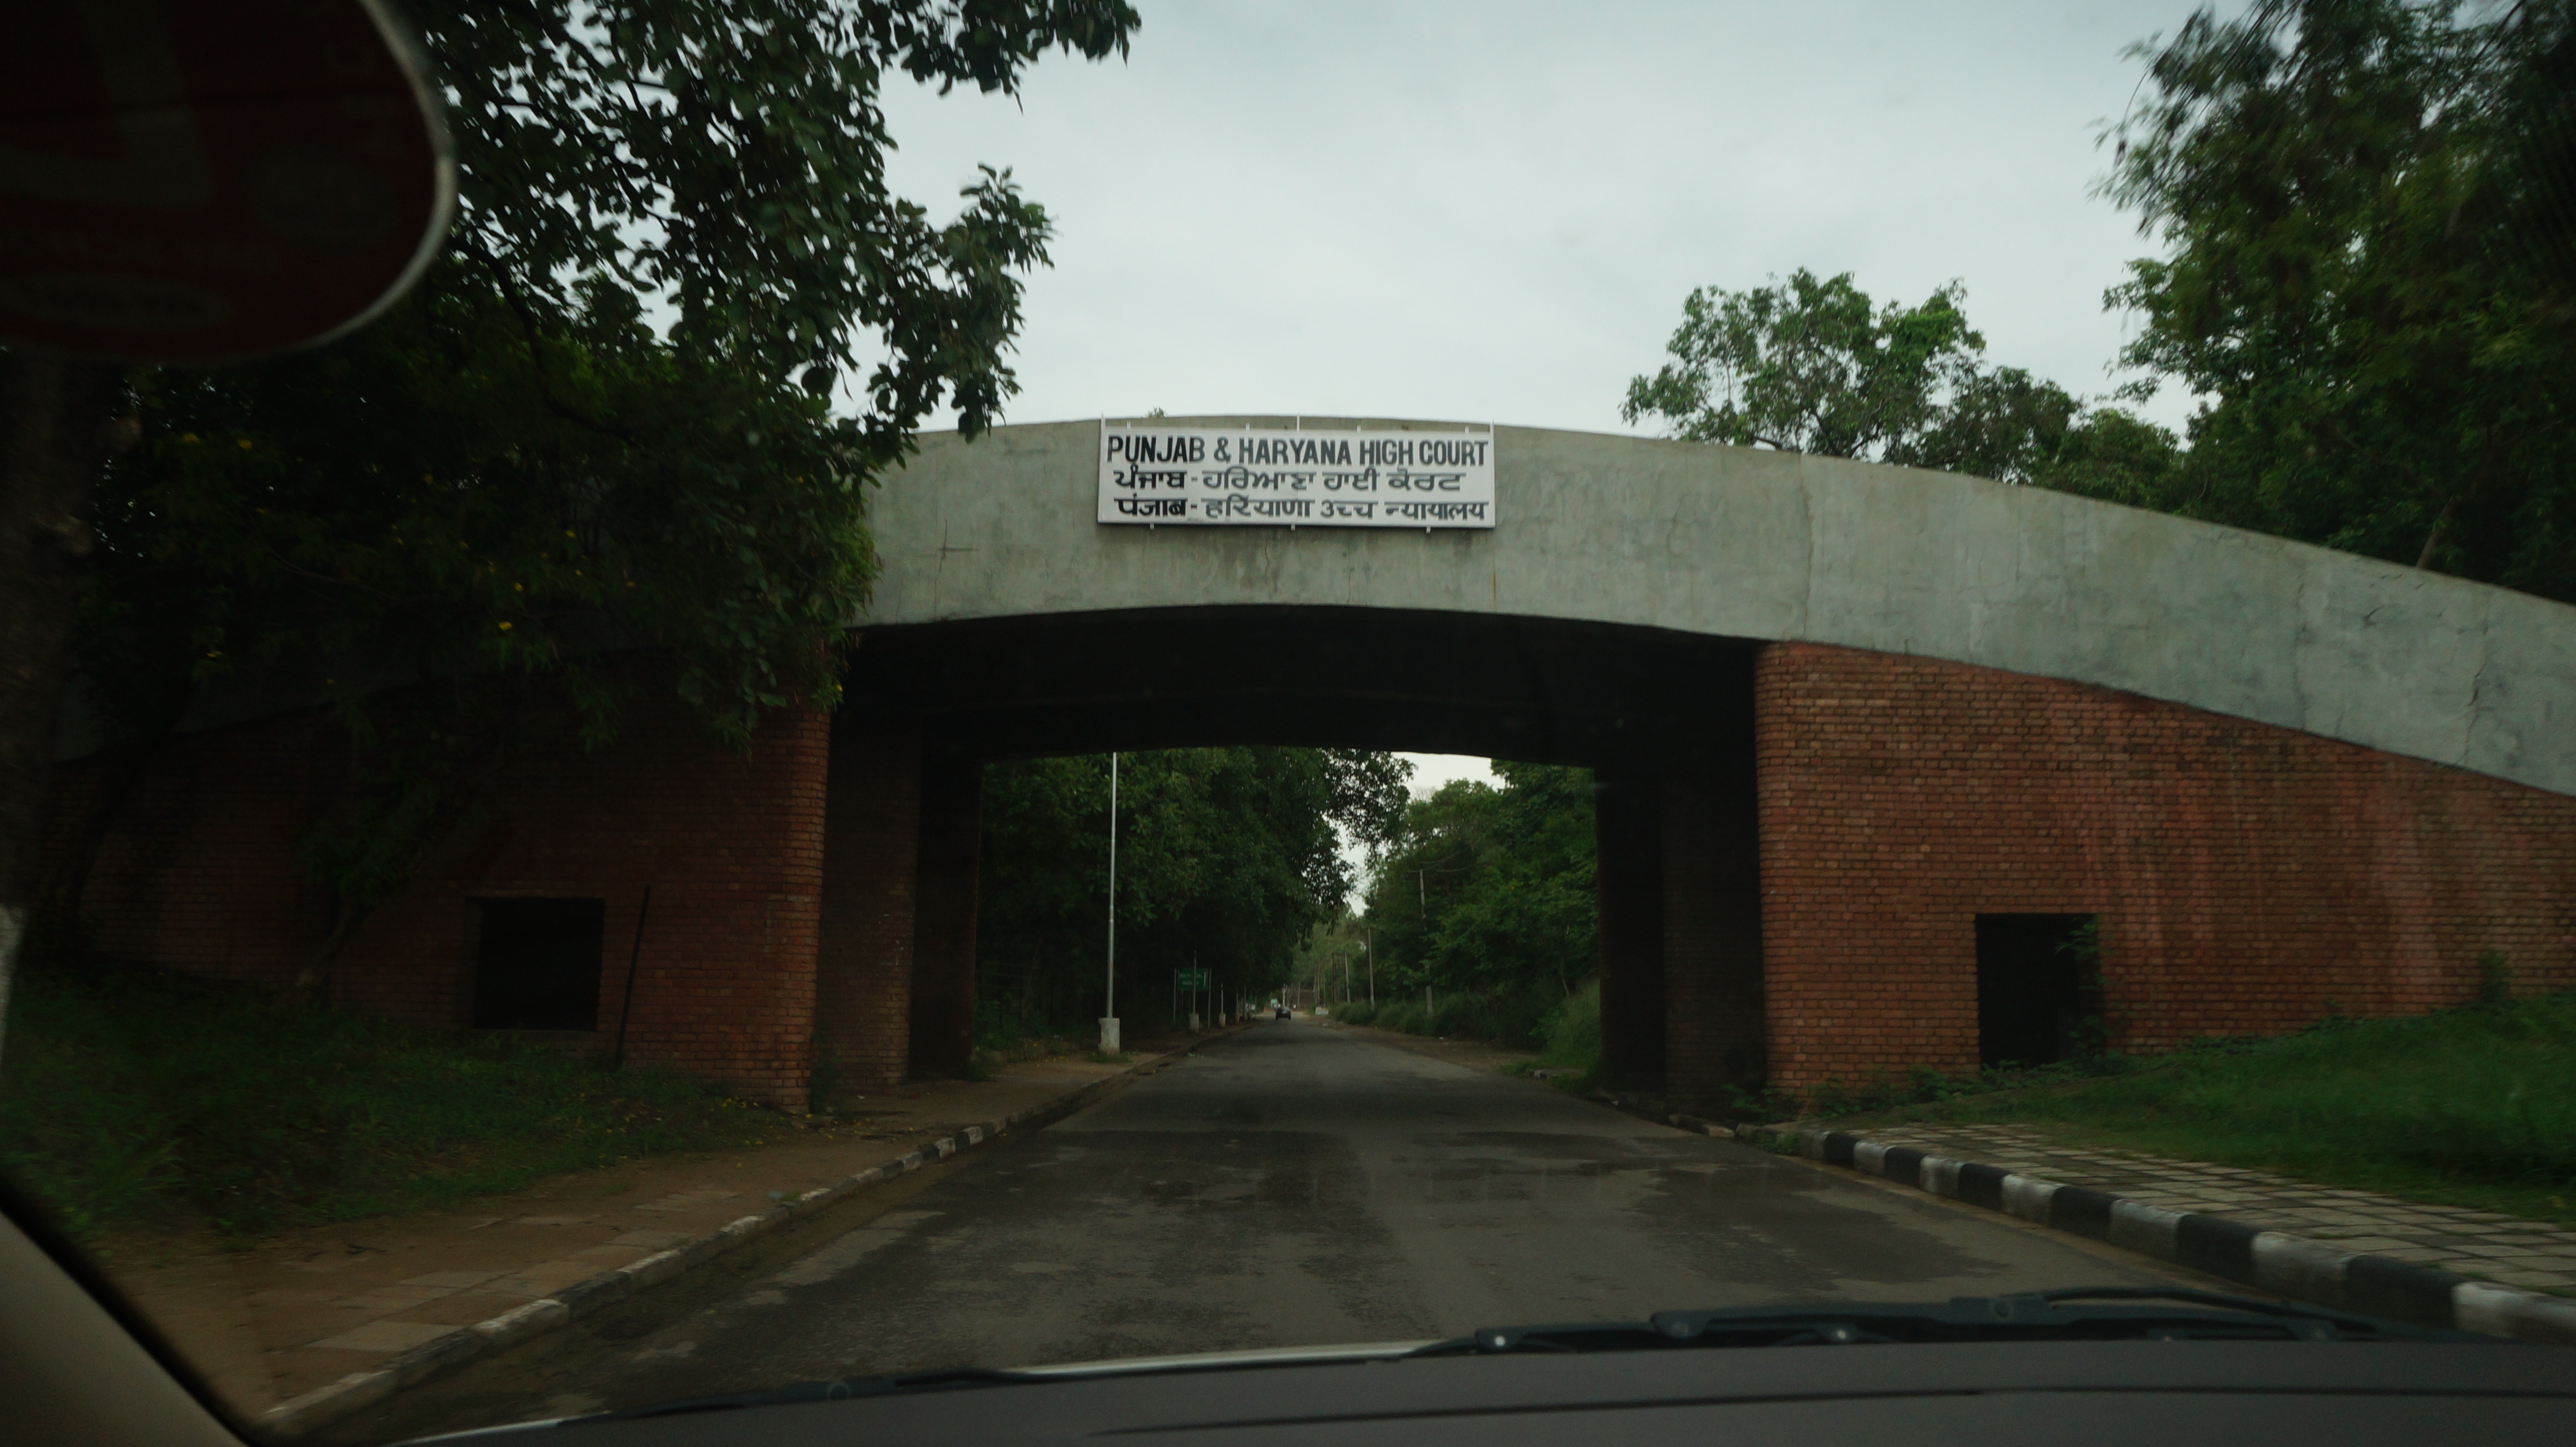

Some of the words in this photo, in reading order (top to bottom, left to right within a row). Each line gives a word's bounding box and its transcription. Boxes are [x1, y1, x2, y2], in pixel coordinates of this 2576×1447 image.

[1103, 430, 1207, 466] PUNJAB
[1210, 434, 1233, 466] &
[1237, 434, 1354, 469] HARYANA
[1355, 437, 1418, 467] HIGH
[1416, 437, 1493, 469] COURT
[1108, 462, 1320, 495] ਪੰਜਾਬ-ਹਰਿਆਣਾ
[1321, 466, 1384, 495] ਹਾਈ
[1383, 466, 1473, 497] ਕੋਰਟ
[1109, 489, 1319, 522] पंजाबऱ्हरियाणा
[1315, 497, 1382, 524] उच्च
[1381, 498, 1494, 528] न्‍यायलय